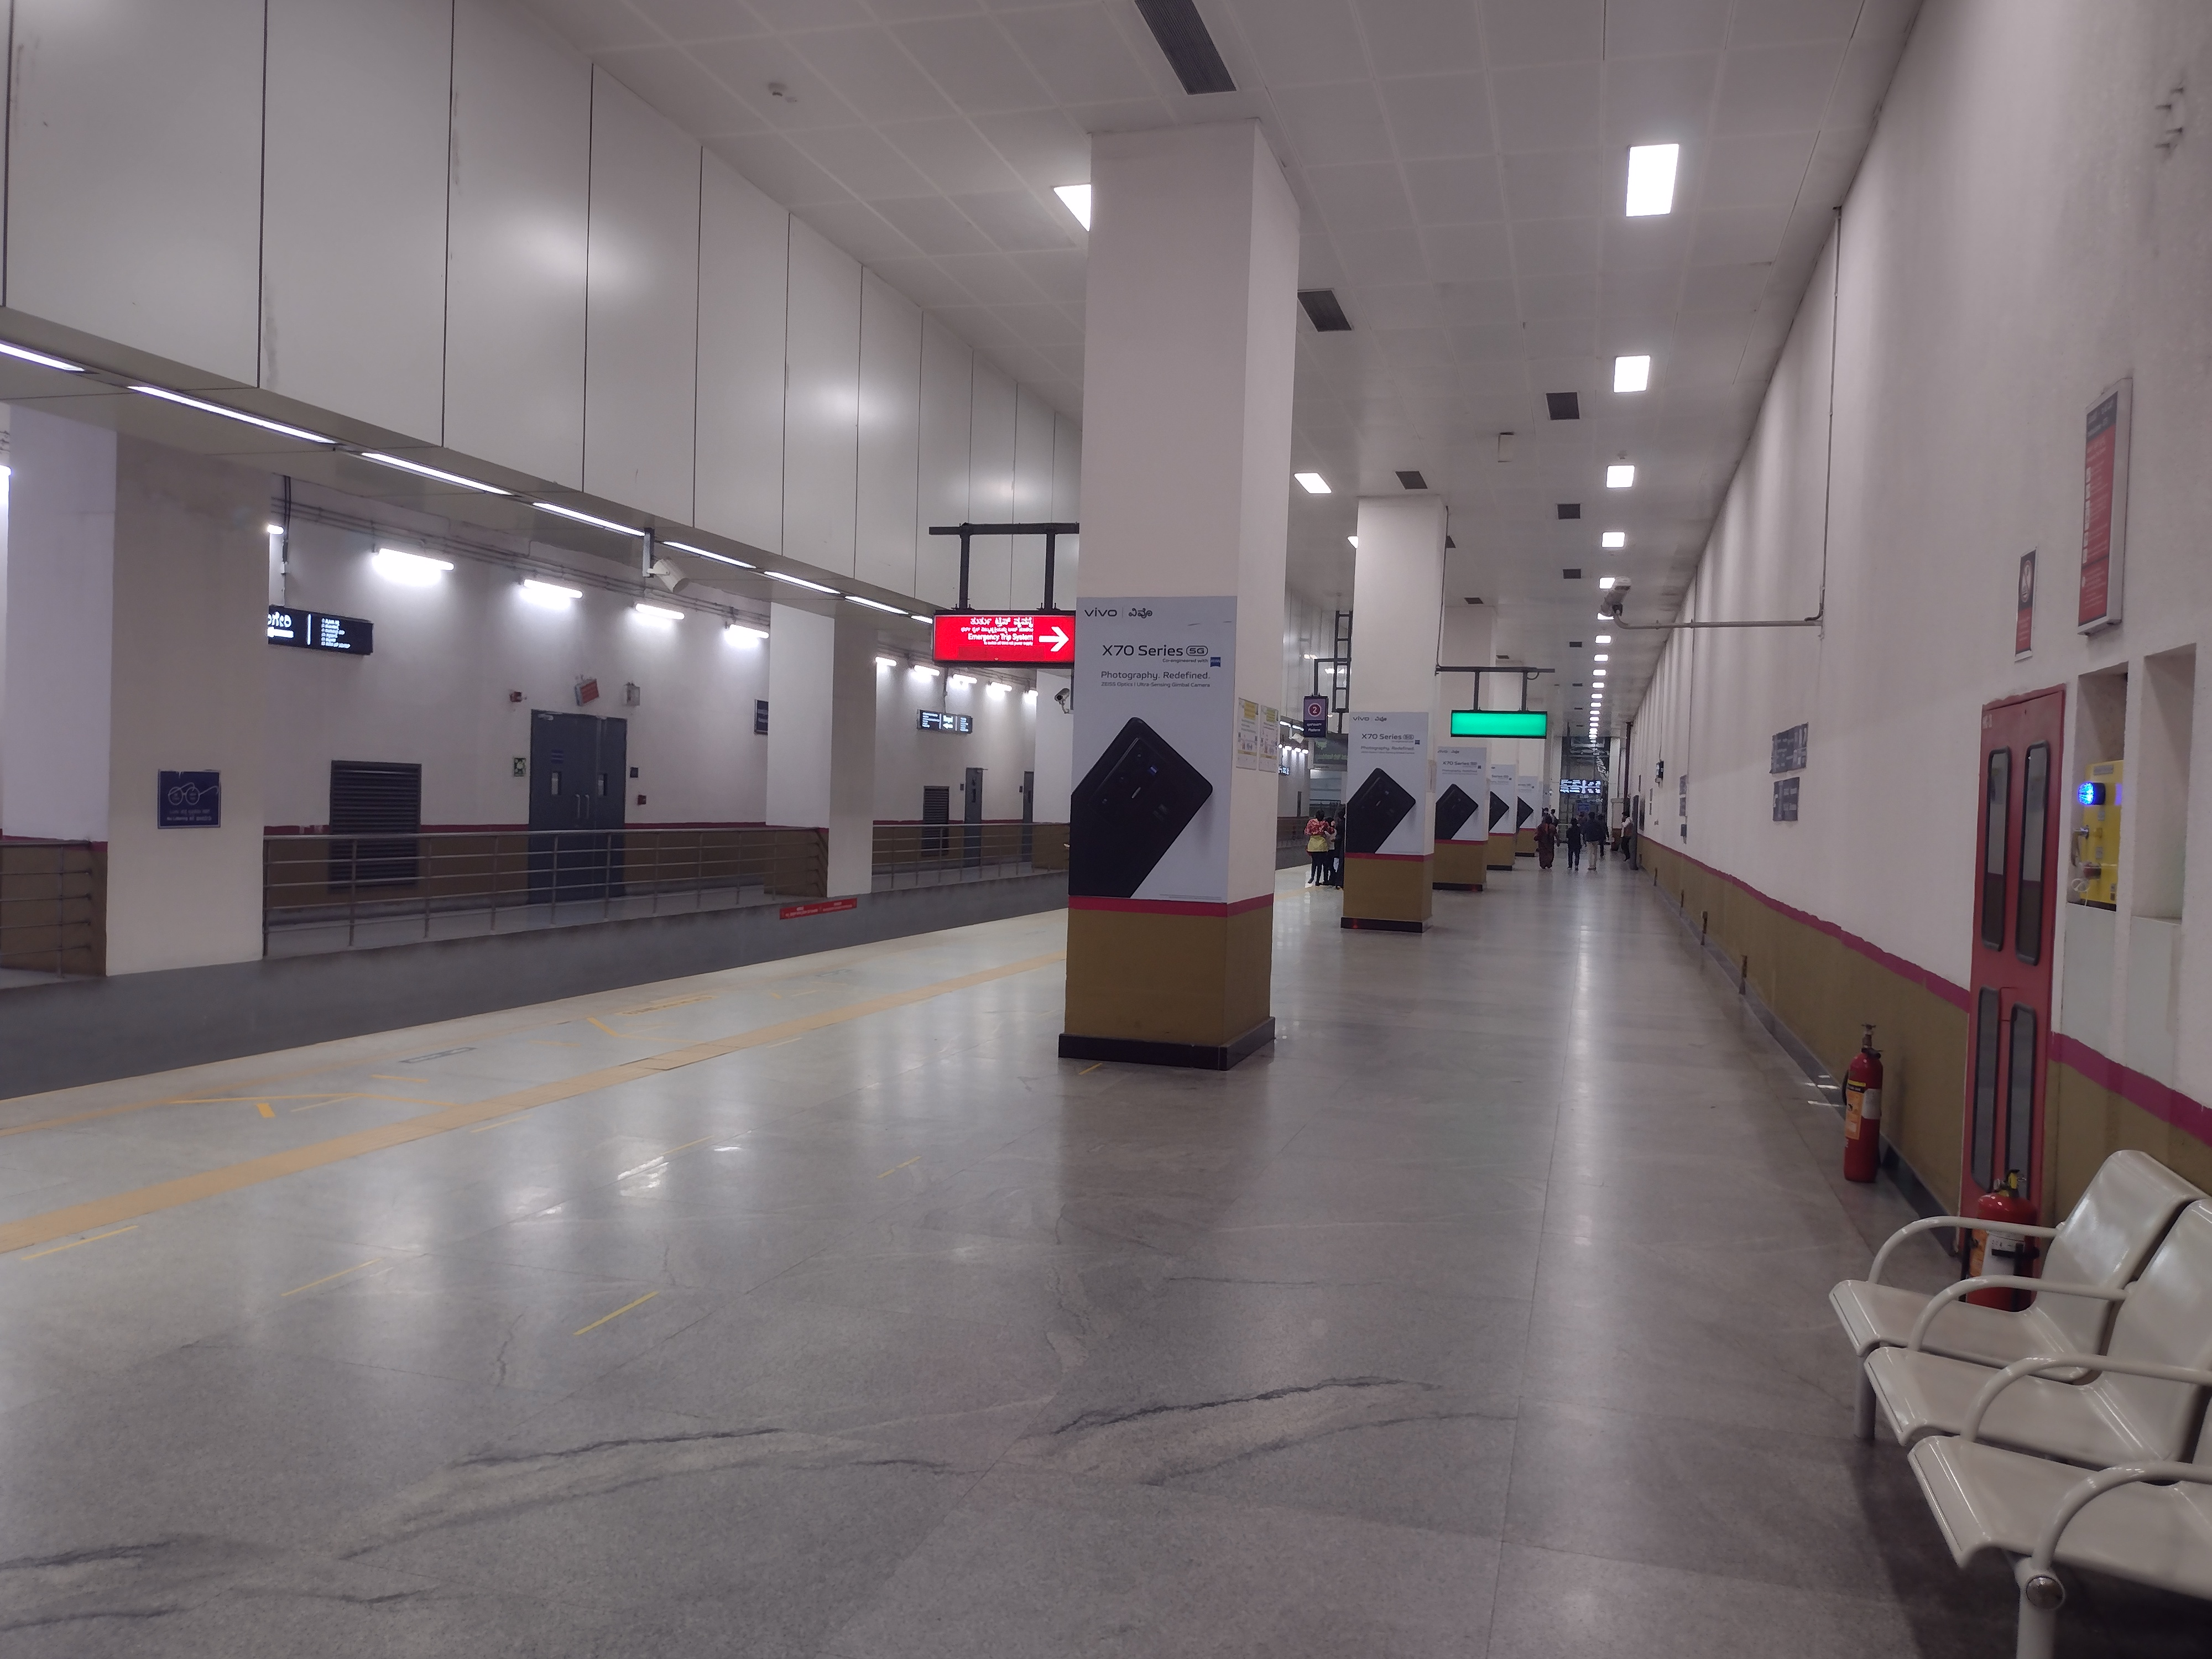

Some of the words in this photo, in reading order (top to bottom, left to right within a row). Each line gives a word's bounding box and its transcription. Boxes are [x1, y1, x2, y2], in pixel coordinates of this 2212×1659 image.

[266, 608, 293, 629] ಲಗೇರ
[968, 612, 995, 627] ತುತು೯
[1080, 604, 1119, 620] vivo
[1125, 603, 1156, 623] ಎವೊ
[1008, 631, 1034, 643] System
[1099, 639, 1136, 659] X70
[1136, 639, 1185, 660] Series
[1100, 667, 1160, 684] Photography
[1162, 669, 1210, 682] Redefined
[1352, 713, 1372, 724] vivo
[1373, 713, 1390, 725] ಎವೊ
[1357, 731, 1380, 742] X70
[1376, 728, 1403, 743] Series